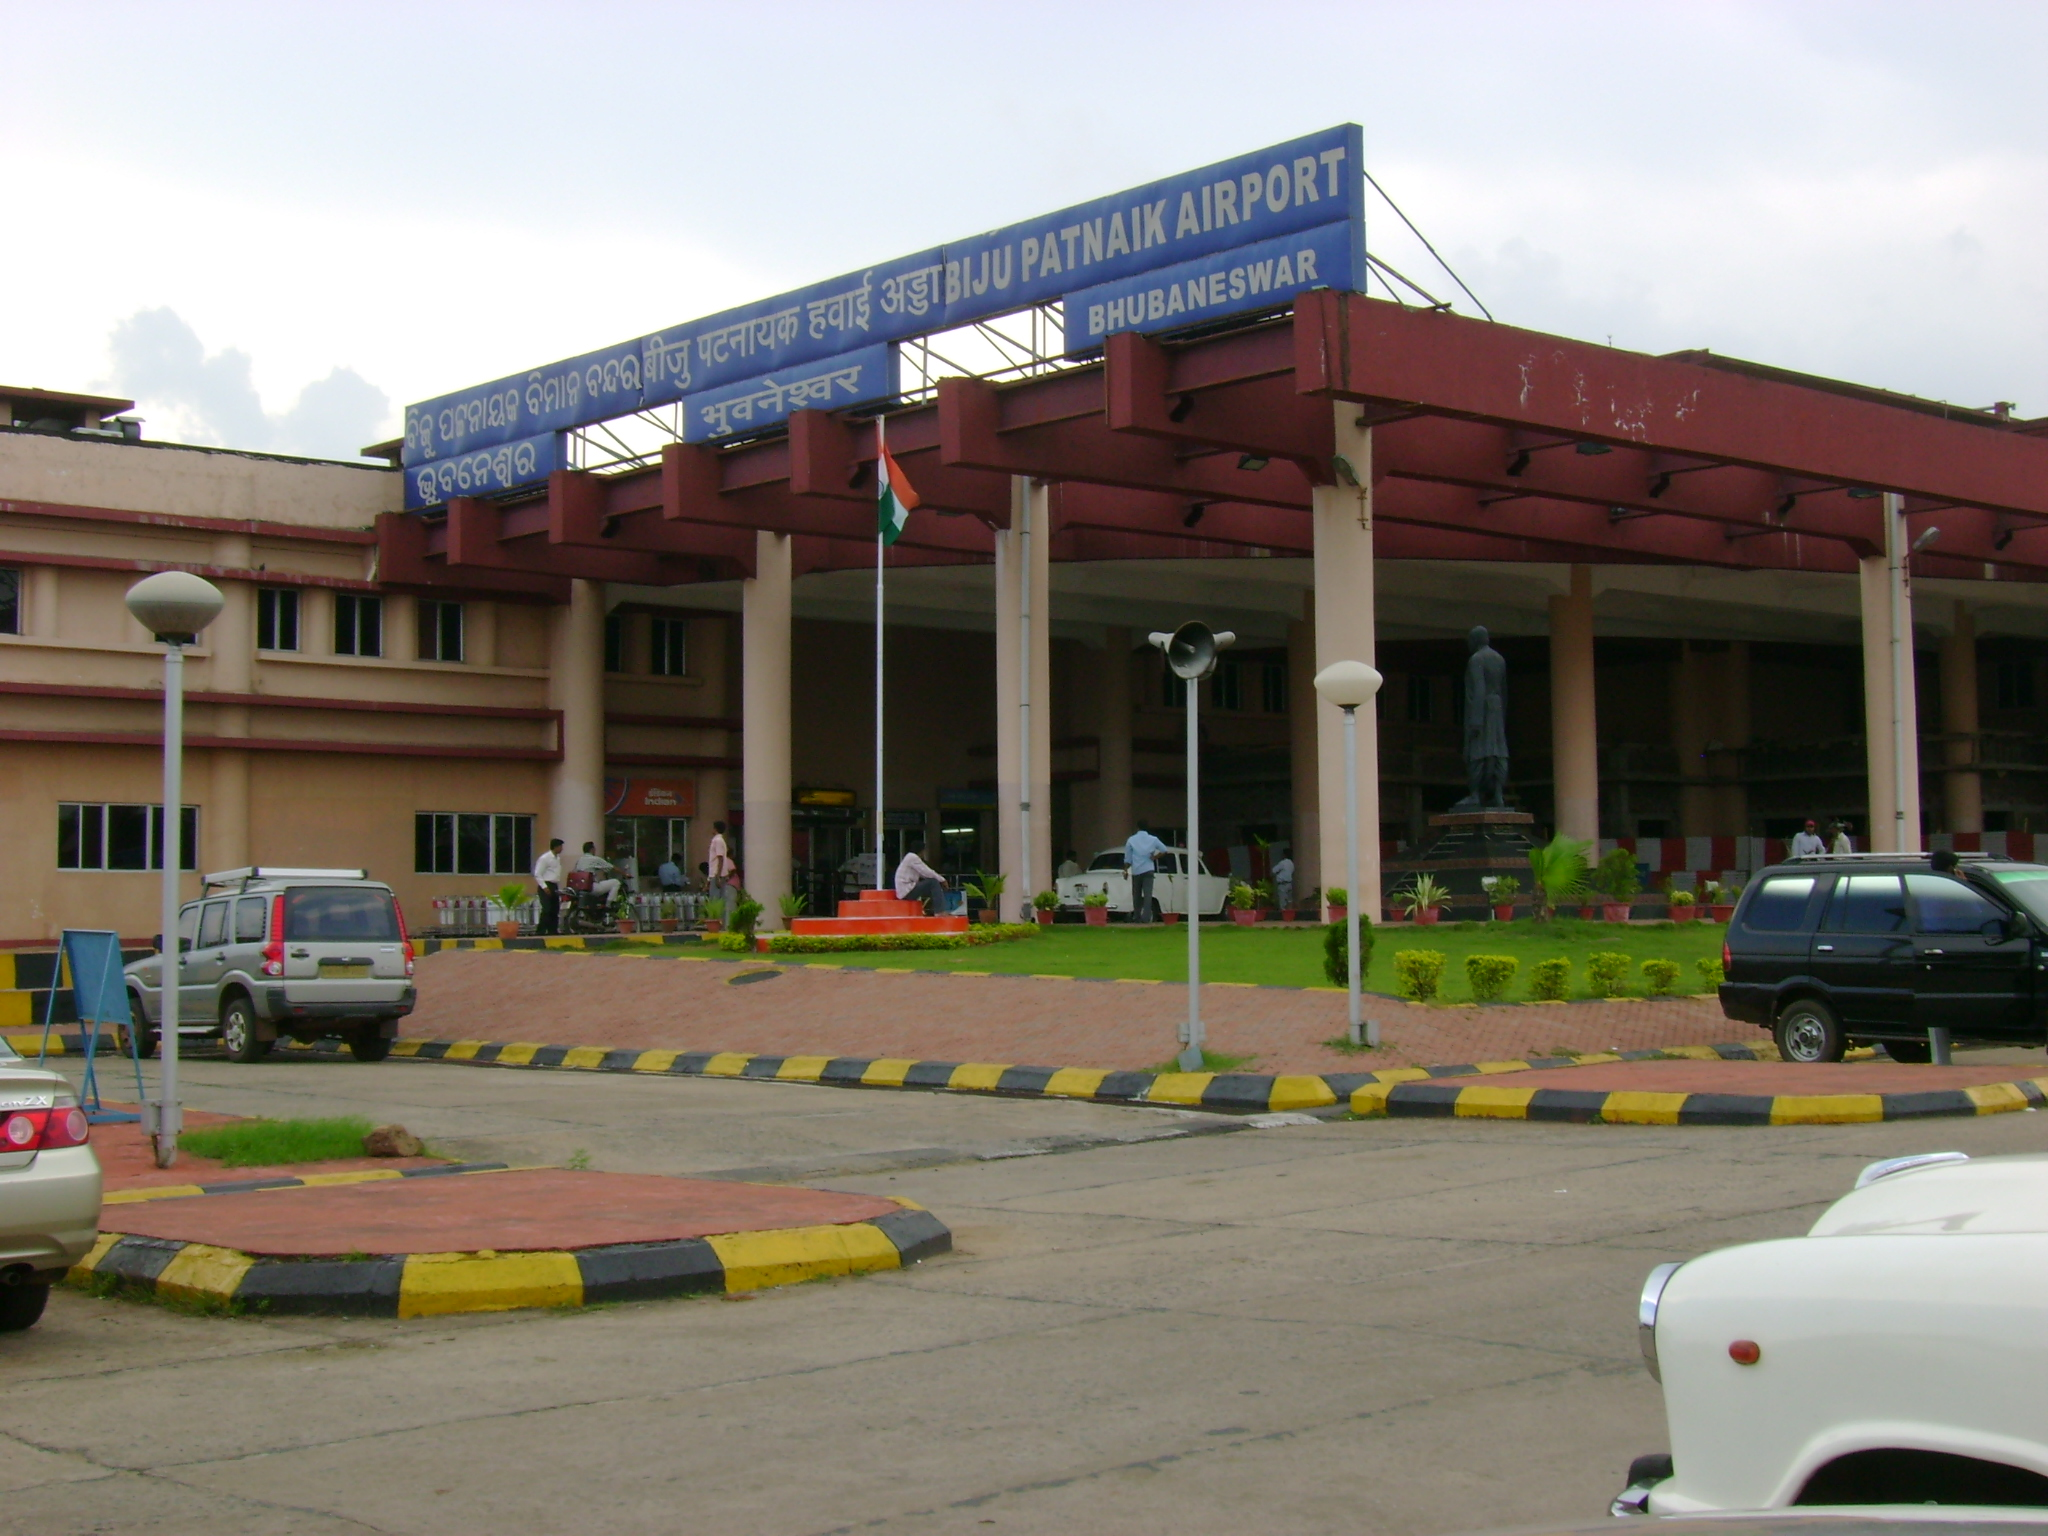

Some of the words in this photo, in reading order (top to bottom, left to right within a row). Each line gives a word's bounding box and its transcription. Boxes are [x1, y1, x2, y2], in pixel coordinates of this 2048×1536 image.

[1172, 139, 1349, 245] AIRPORT
[395, 396, 441, 463] ବିଜୁ
[436, 381, 520, 448] ପଟନାୟକ
[516, 364, 584, 422] ବିମାନ
[581, 347, 642, 402] ବନ୍ଦର
[637, 327, 696, 396] बीजु
[687, 301, 801, 373] पटनायक
[695, 361, 860, 444] भुवनेश्वर
[799, 262, 877, 347] हवाई
[876, 257, 945, 319] अड्डा
[938, 241, 1016, 313] BIJU
[1017, 197, 1169, 287] PATNAIK
[1083, 245, 1321, 341] BHUBANESWAR
[414, 437, 540, 513] ଭୁବନେଶ୍ବର